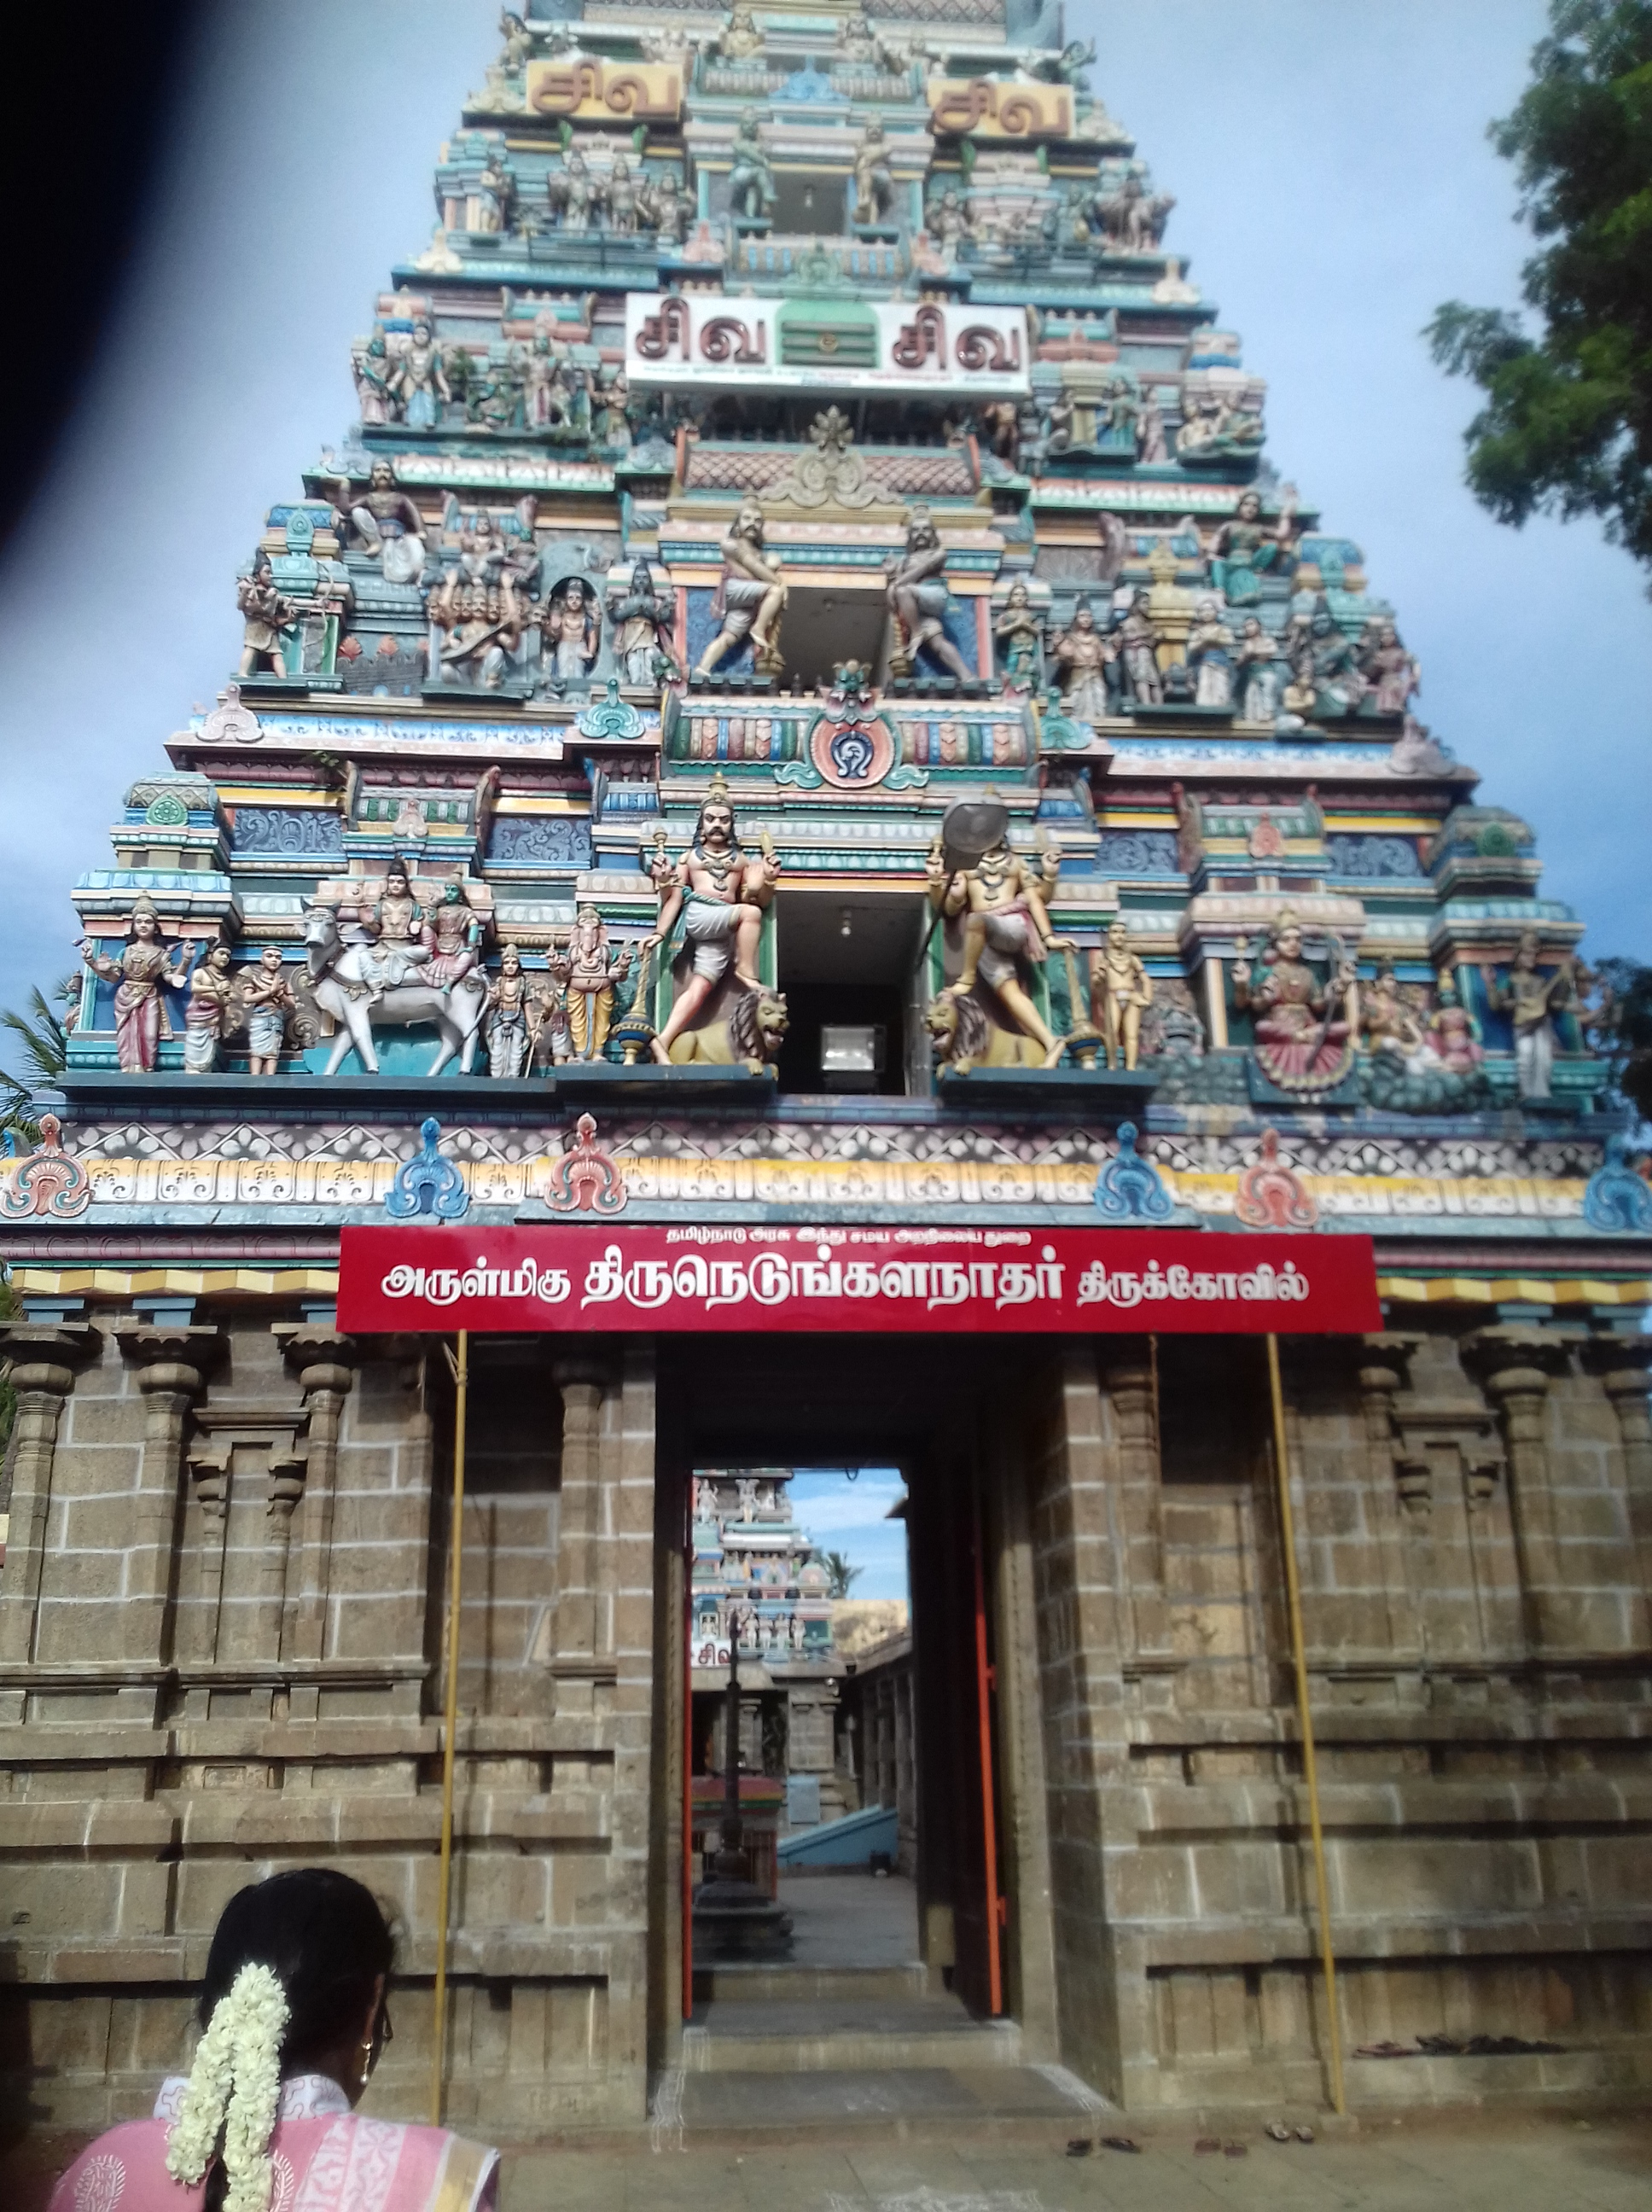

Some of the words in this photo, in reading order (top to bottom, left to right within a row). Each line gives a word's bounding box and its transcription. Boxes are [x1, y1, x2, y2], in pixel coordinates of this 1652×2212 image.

[661, 1218, 751, 1249] தமிழ்நாடு
[743, 1220, 795, 1248] அரசு
[846, 1222, 893, 1249] சமய
[888, 1220, 985, 1249] அறநிலைய
[375, 1250, 573, 1311] அருள்மிகு
[576, 1239, 1070, 1314] திருநெடுங்களநாதா்
[1068, 1254, 1314, 1307] திருக்கோவில்